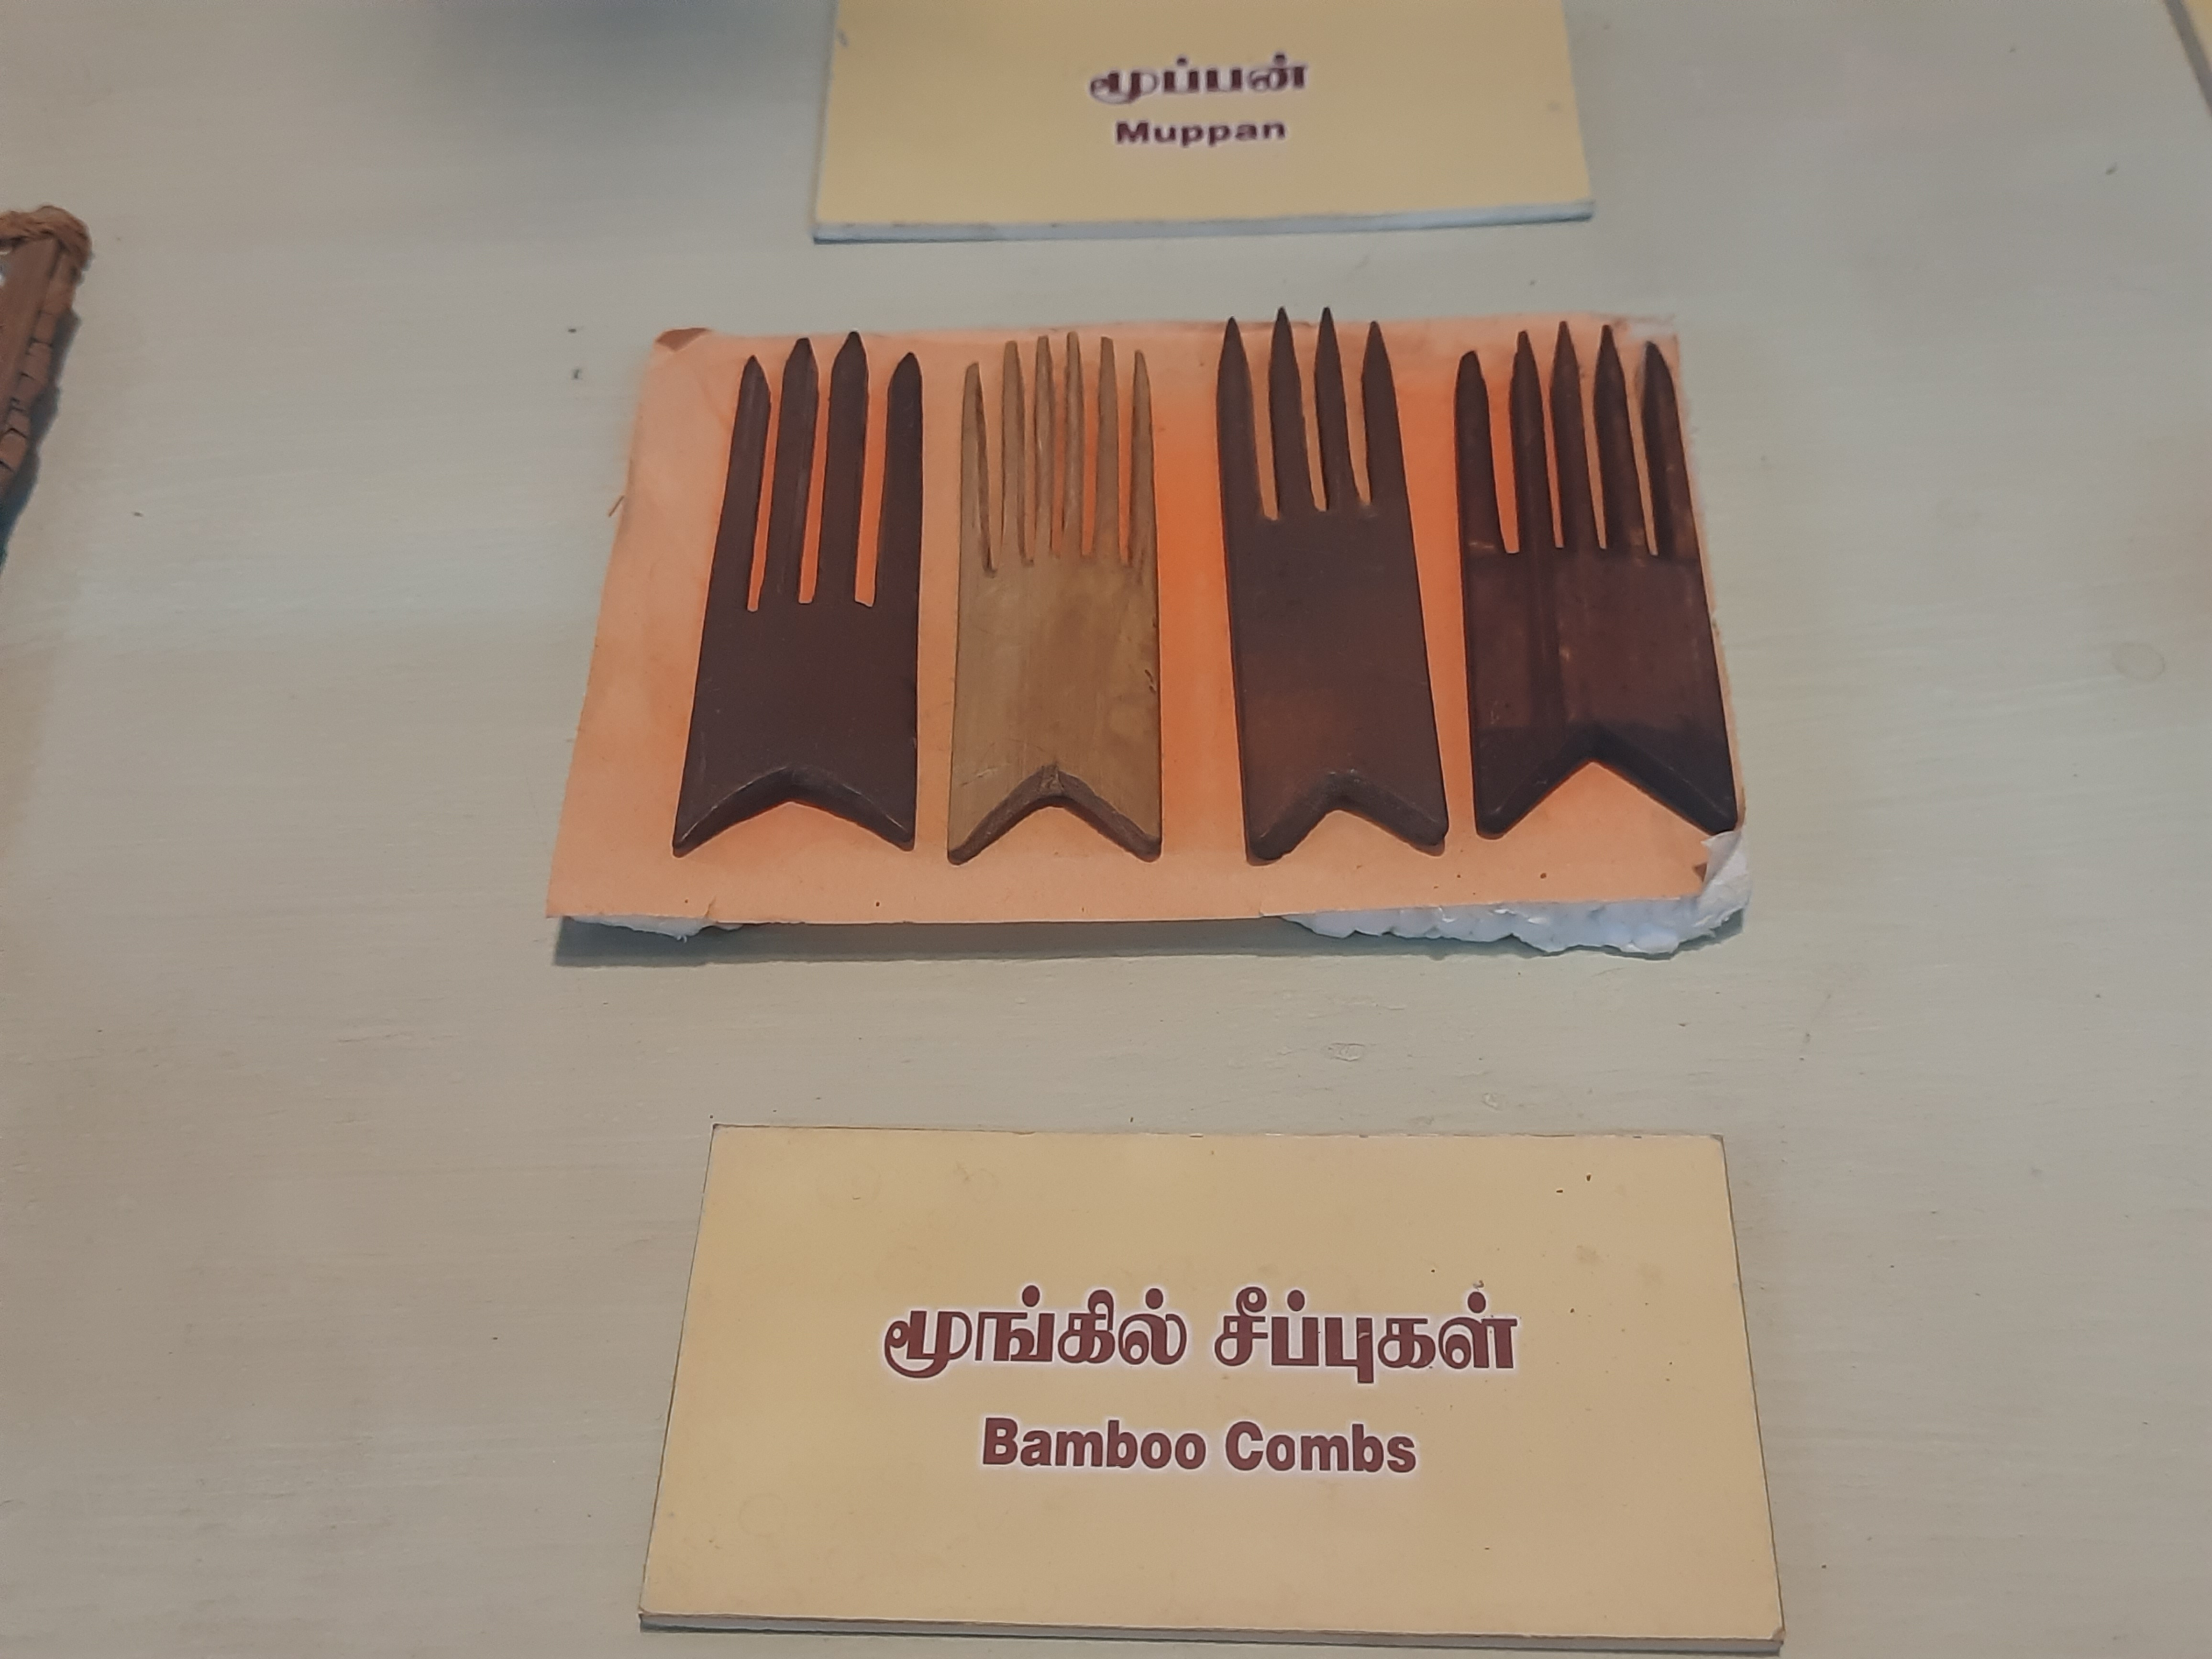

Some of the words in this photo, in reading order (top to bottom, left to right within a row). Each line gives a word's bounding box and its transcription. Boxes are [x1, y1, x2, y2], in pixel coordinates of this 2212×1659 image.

[1084, 47, 1309, 107] மூப்பன்
[1104, 113, 1287, 153] Muppan
[879, 1281, 1189, 1383] மூங்கில்
[1208, 1282, 1521, 1386] சீப்புகள்
[979, 1414, 1209, 1472] Bamboo
[1220, 1416, 1420, 1473] Combs